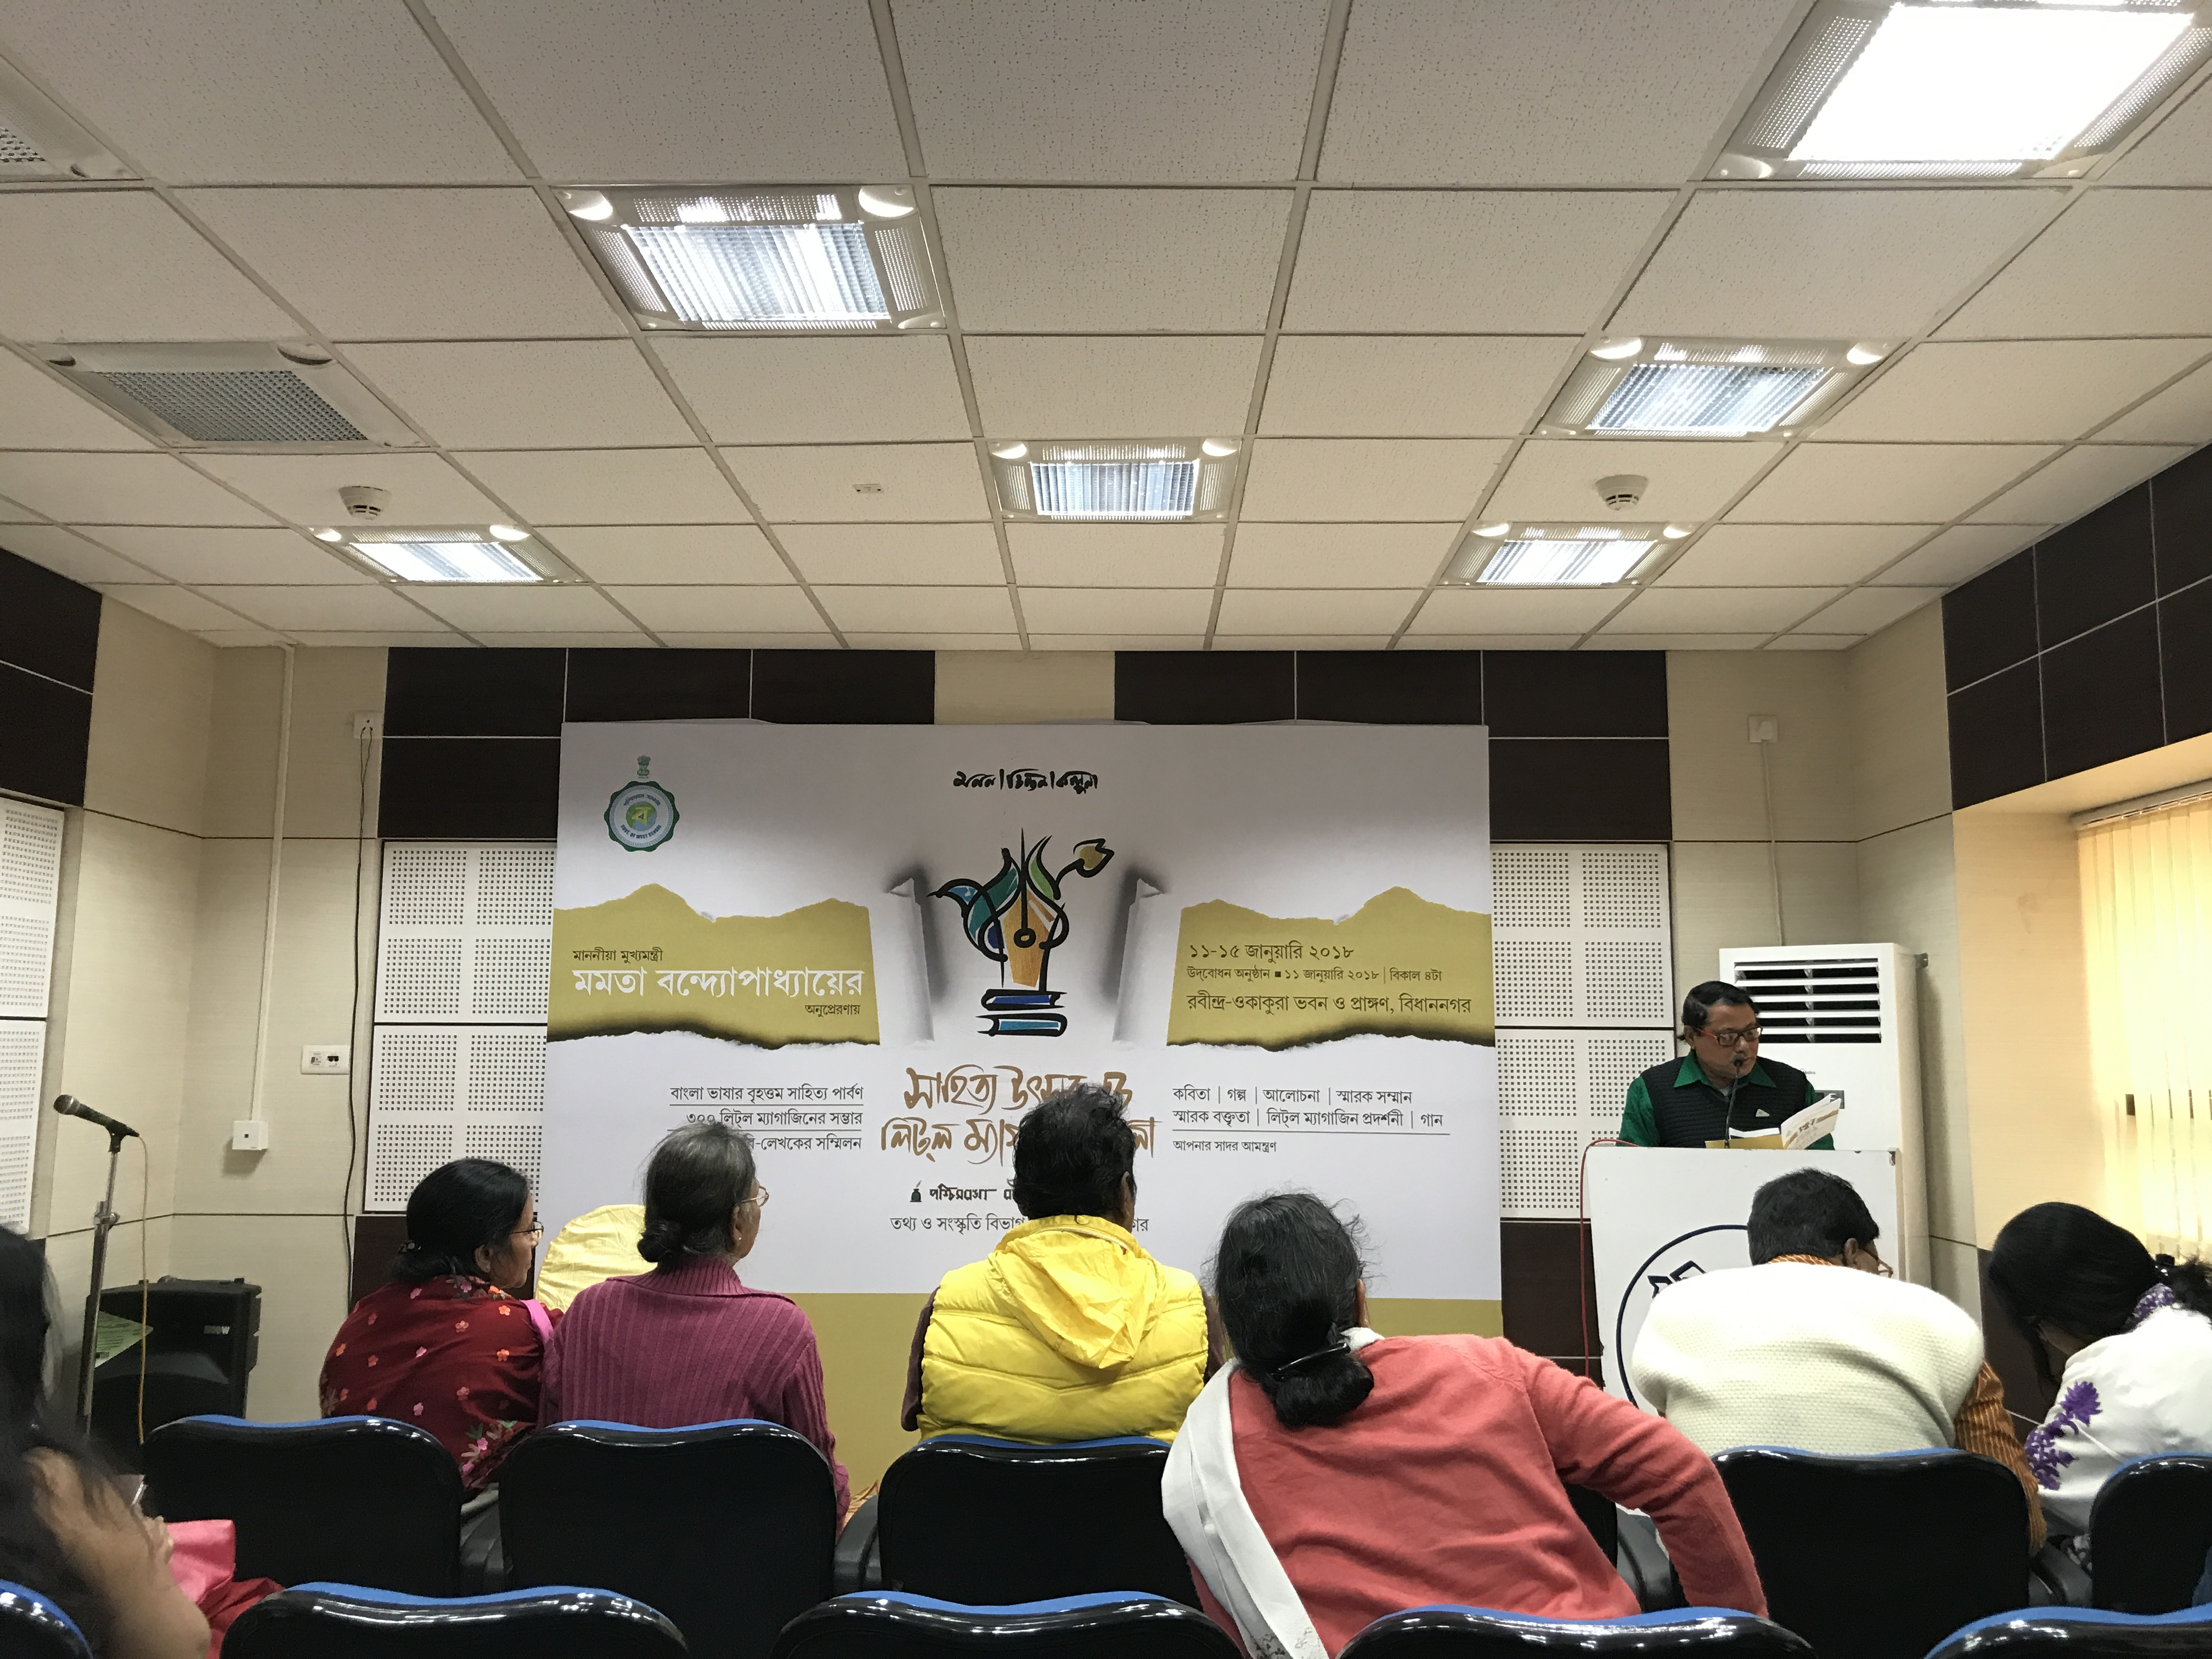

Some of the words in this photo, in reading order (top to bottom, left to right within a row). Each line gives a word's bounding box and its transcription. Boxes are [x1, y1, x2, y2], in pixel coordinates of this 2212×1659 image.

[951, 763, 1101, 797] মনন।চিন্তন।কল্পনা
[567, 941, 618, 966] মাননীয়া
[619, 942, 667, 967] মুখ্যমন্ত্রী
[1243, 936, 1307, 967] জানুয়ারি
[1307, 941, 1355, 966] ২০১৮
[571, 964, 648, 998] মমতা
[654, 964, 866, 1001] বন্দ্যোপাধ্যায়ের
[1183, 962, 1234, 981] উদ্বোধন
[1231, 961, 1273, 984] অনুষ্ঠান
[1300, 963, 1348, 984] জানুয়ারি
[1345, 962, 1387, 988] ২০১৮
[1384, 962, 1425, 984] বিকাল
[1422, 965, 1444, 985] ৪টা
[803, 997, 862, 1019] অনুপ্রেরণায়
[1186, 986, 1228, 1012] রবীন্দ্র-
[1231, 990, 1290, 1018] ওকাকুরা
[1290, 995, 1329, 1012] ভবন
[1329, 992, 1347, 1013] ও
[1349, 994, 1391, 1014] প্রাঙ্গণ
[1395, 986, 1473, 1014] বিধাননগর
[667, 1084, 705, 1108] বাংলা
[705, 1084, 747, 1103] ভাষার
[744, 1082, 788, 1104] বৃহত্তম
[785, 1078, 830, 1104] সাহিত্য
[829, 1082, 864, 1101] পার্বণ
[898, 1057, 1001, 1121] সাহিত্য
[1170, 1082, 1212, 1104] কবিতা
[1220, 1085, 1248, 1103] গল্প
[1261, 1082, 1323, 1104] আলোচনা
[1334, 1087, 1376, 1105] স্মারক
[1374, 1088, 1414, 1105] সম্মান
[685, 1110, 719, 1125] ৩০০
[715, 1102, 756, 1129] লিট্ল
[754, 1104, 828, 1127] ম্যাগাজিনের
[828, 1109, 865, 1130] সম্ভার
[1172, 1107, 1212, 1126] স্মারক
[1211, 1107, 1252, 1131] বক্তৃতা
[1261, 1103, 1303, 1131] লিট্ল
[1302, 1104, 1362, 1128] ম্যাগাজিন
[1362, 1107, 1406, 1127] প্রদর্শনী
[1419, 1111, 1446, 1130] গান
[758, 1134, 814, 1152] লেখকের
[814, 1128, 866, 1152] সম্মিলন
[879, 1111, 1020, 1170] লিট্ল ম্যা
[1170, 1136, 1214, 1154] আপনার
[1212, 1136, 1242, 1154] সাদর
[1236, 1137, 1279, 1155] আমন্ত্রণ
[928, 1181, 996, 1205] পশ্চিমএসা
[886, 1212, 919, 1237] তথ্য
[916, 1215, 937, 1233] ও
[934, 1207, 986, 1238] সংস্কৃতি